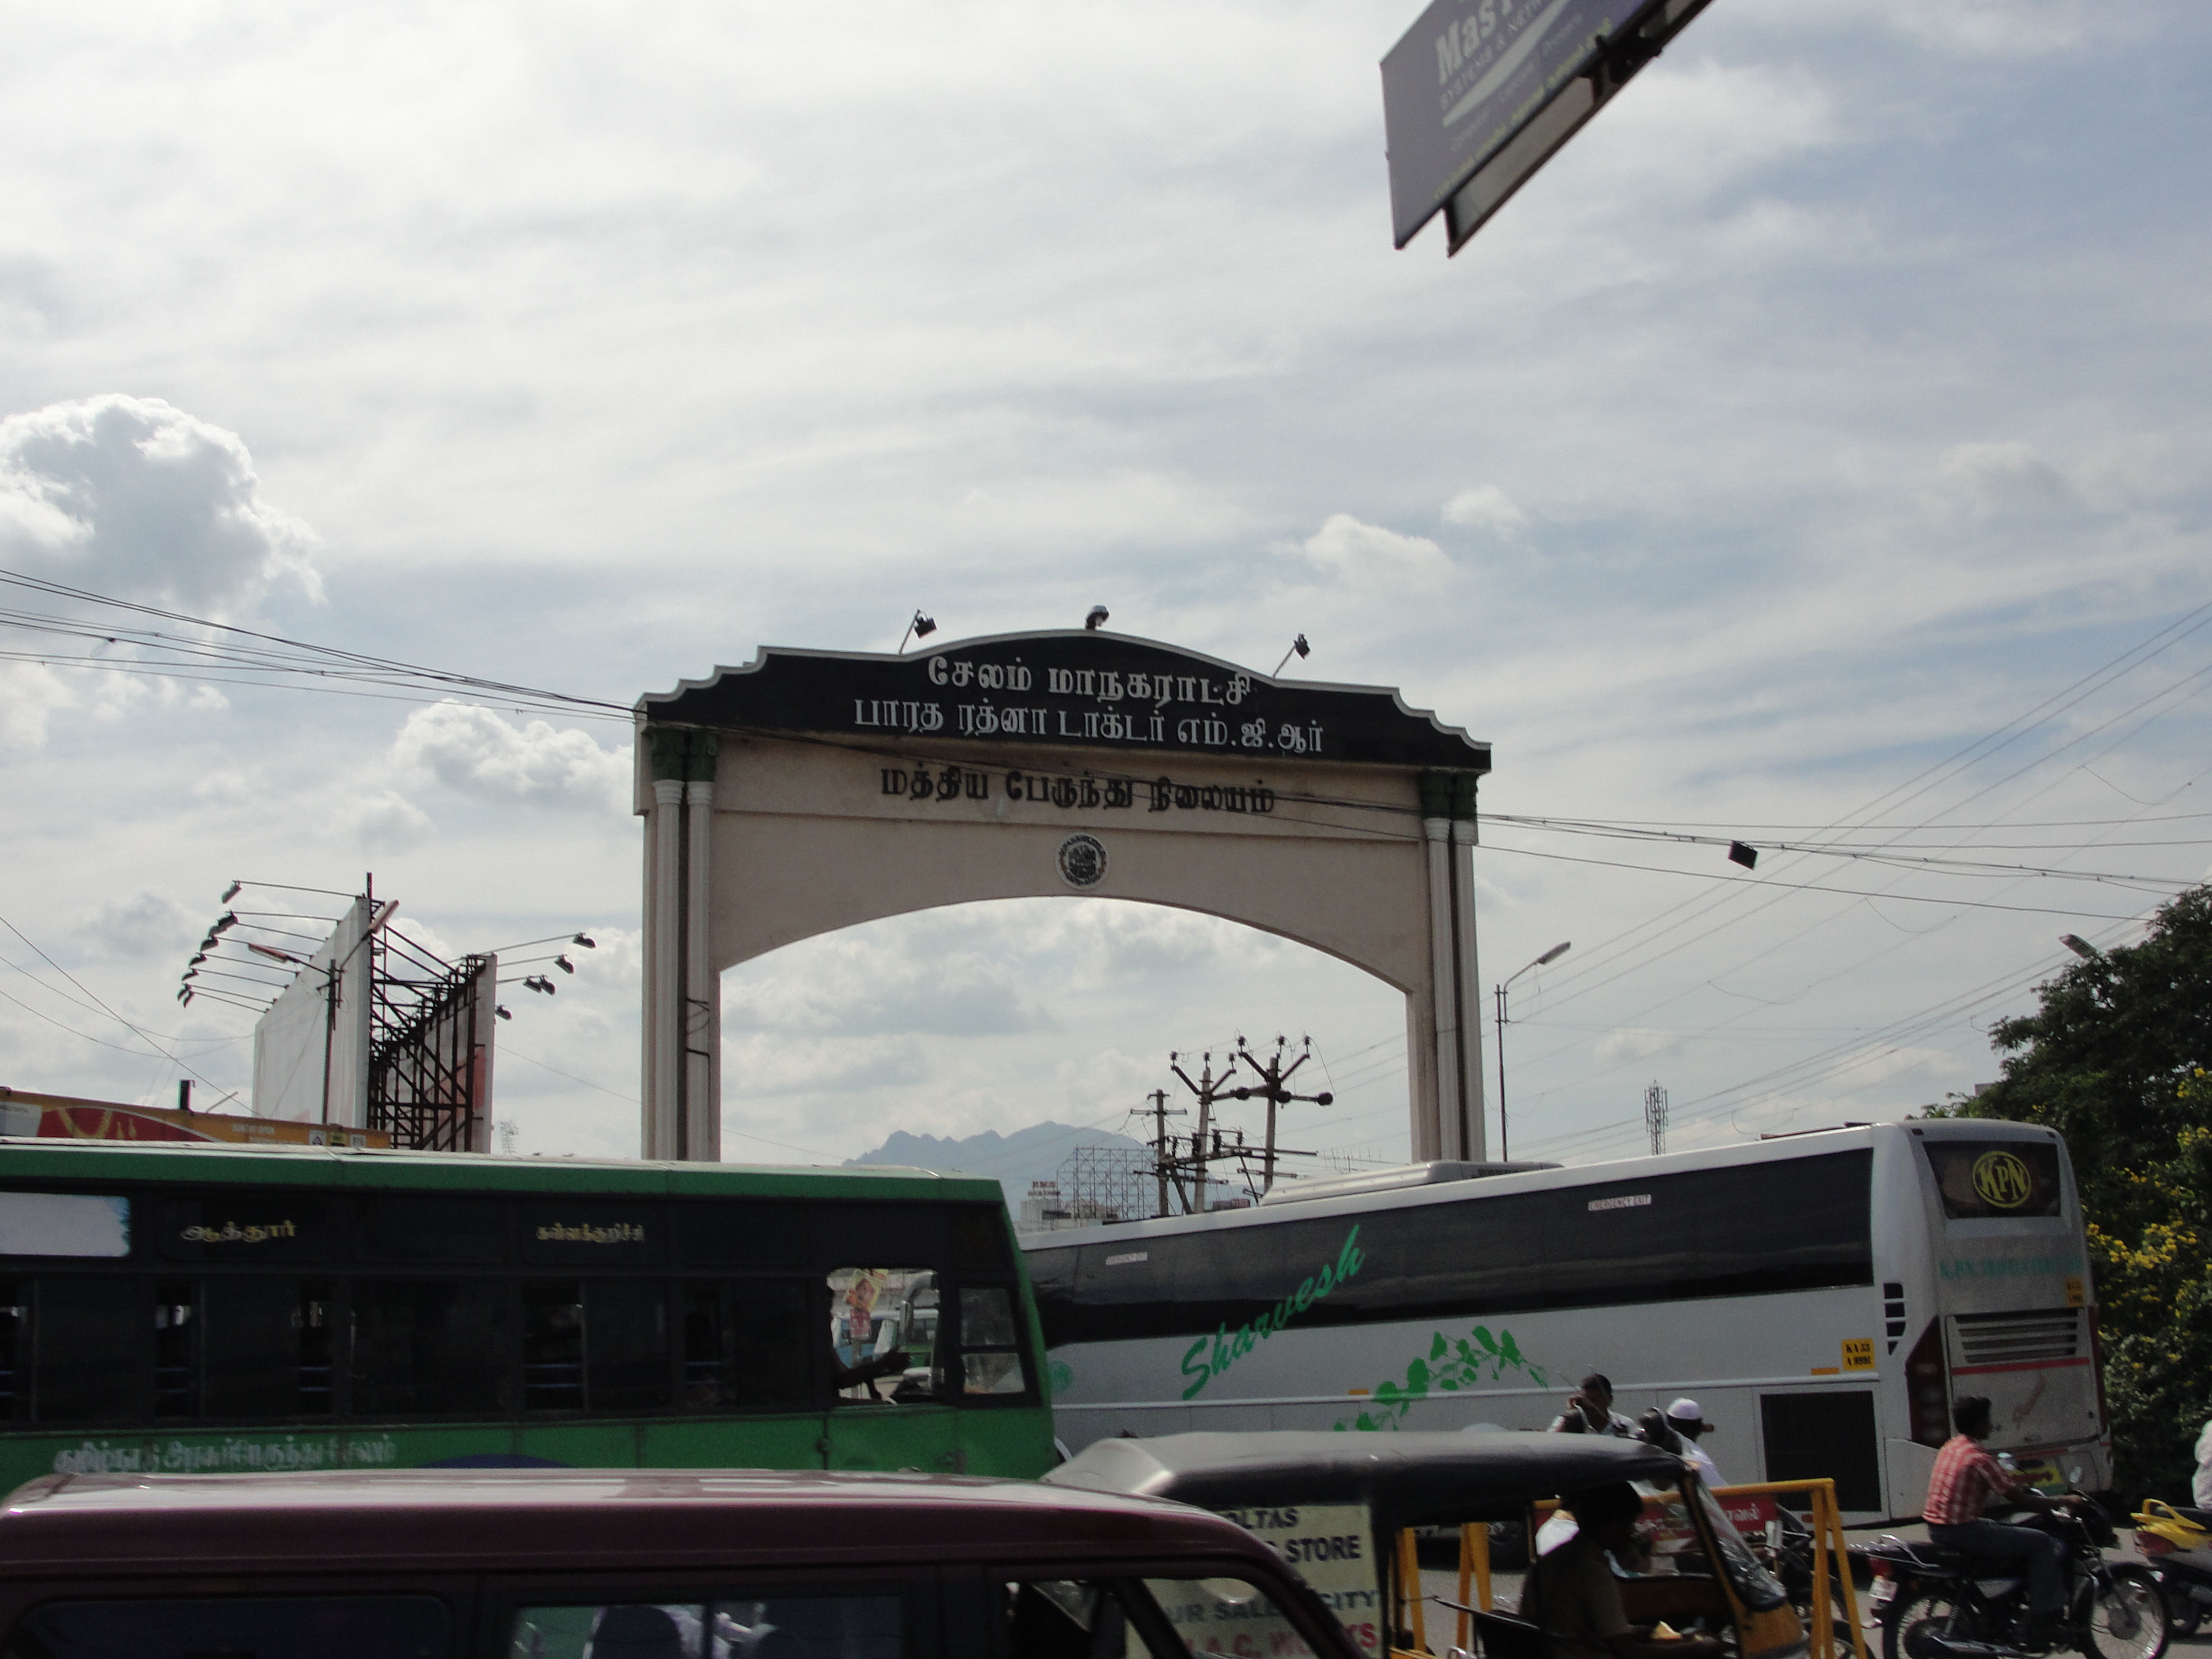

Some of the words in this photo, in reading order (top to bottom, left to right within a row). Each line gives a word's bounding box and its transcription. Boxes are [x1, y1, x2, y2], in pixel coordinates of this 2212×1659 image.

[926, 649, 1034, 696] சேலம்
[1046, 666, 1254, 710] மாநகராட்சி
[850, 695, 945, 736] பாரத
[954, 693, 1048, 739] ரத்னா
[1054, 702, 1167, 744] டாக்டர்
[1175, 708, 1325, 756] எம்.ஜி.ஆா்
[877, 752, 996, 807] மத்திய
[1002, 764, 1136, 811] பேருந்து
[1147, 772, 1278, 816] நிலையம்
[178, 1215, 300, 1250] ஆத்தூர்
[1164, 1214, 1374, 1410] Sharvesh